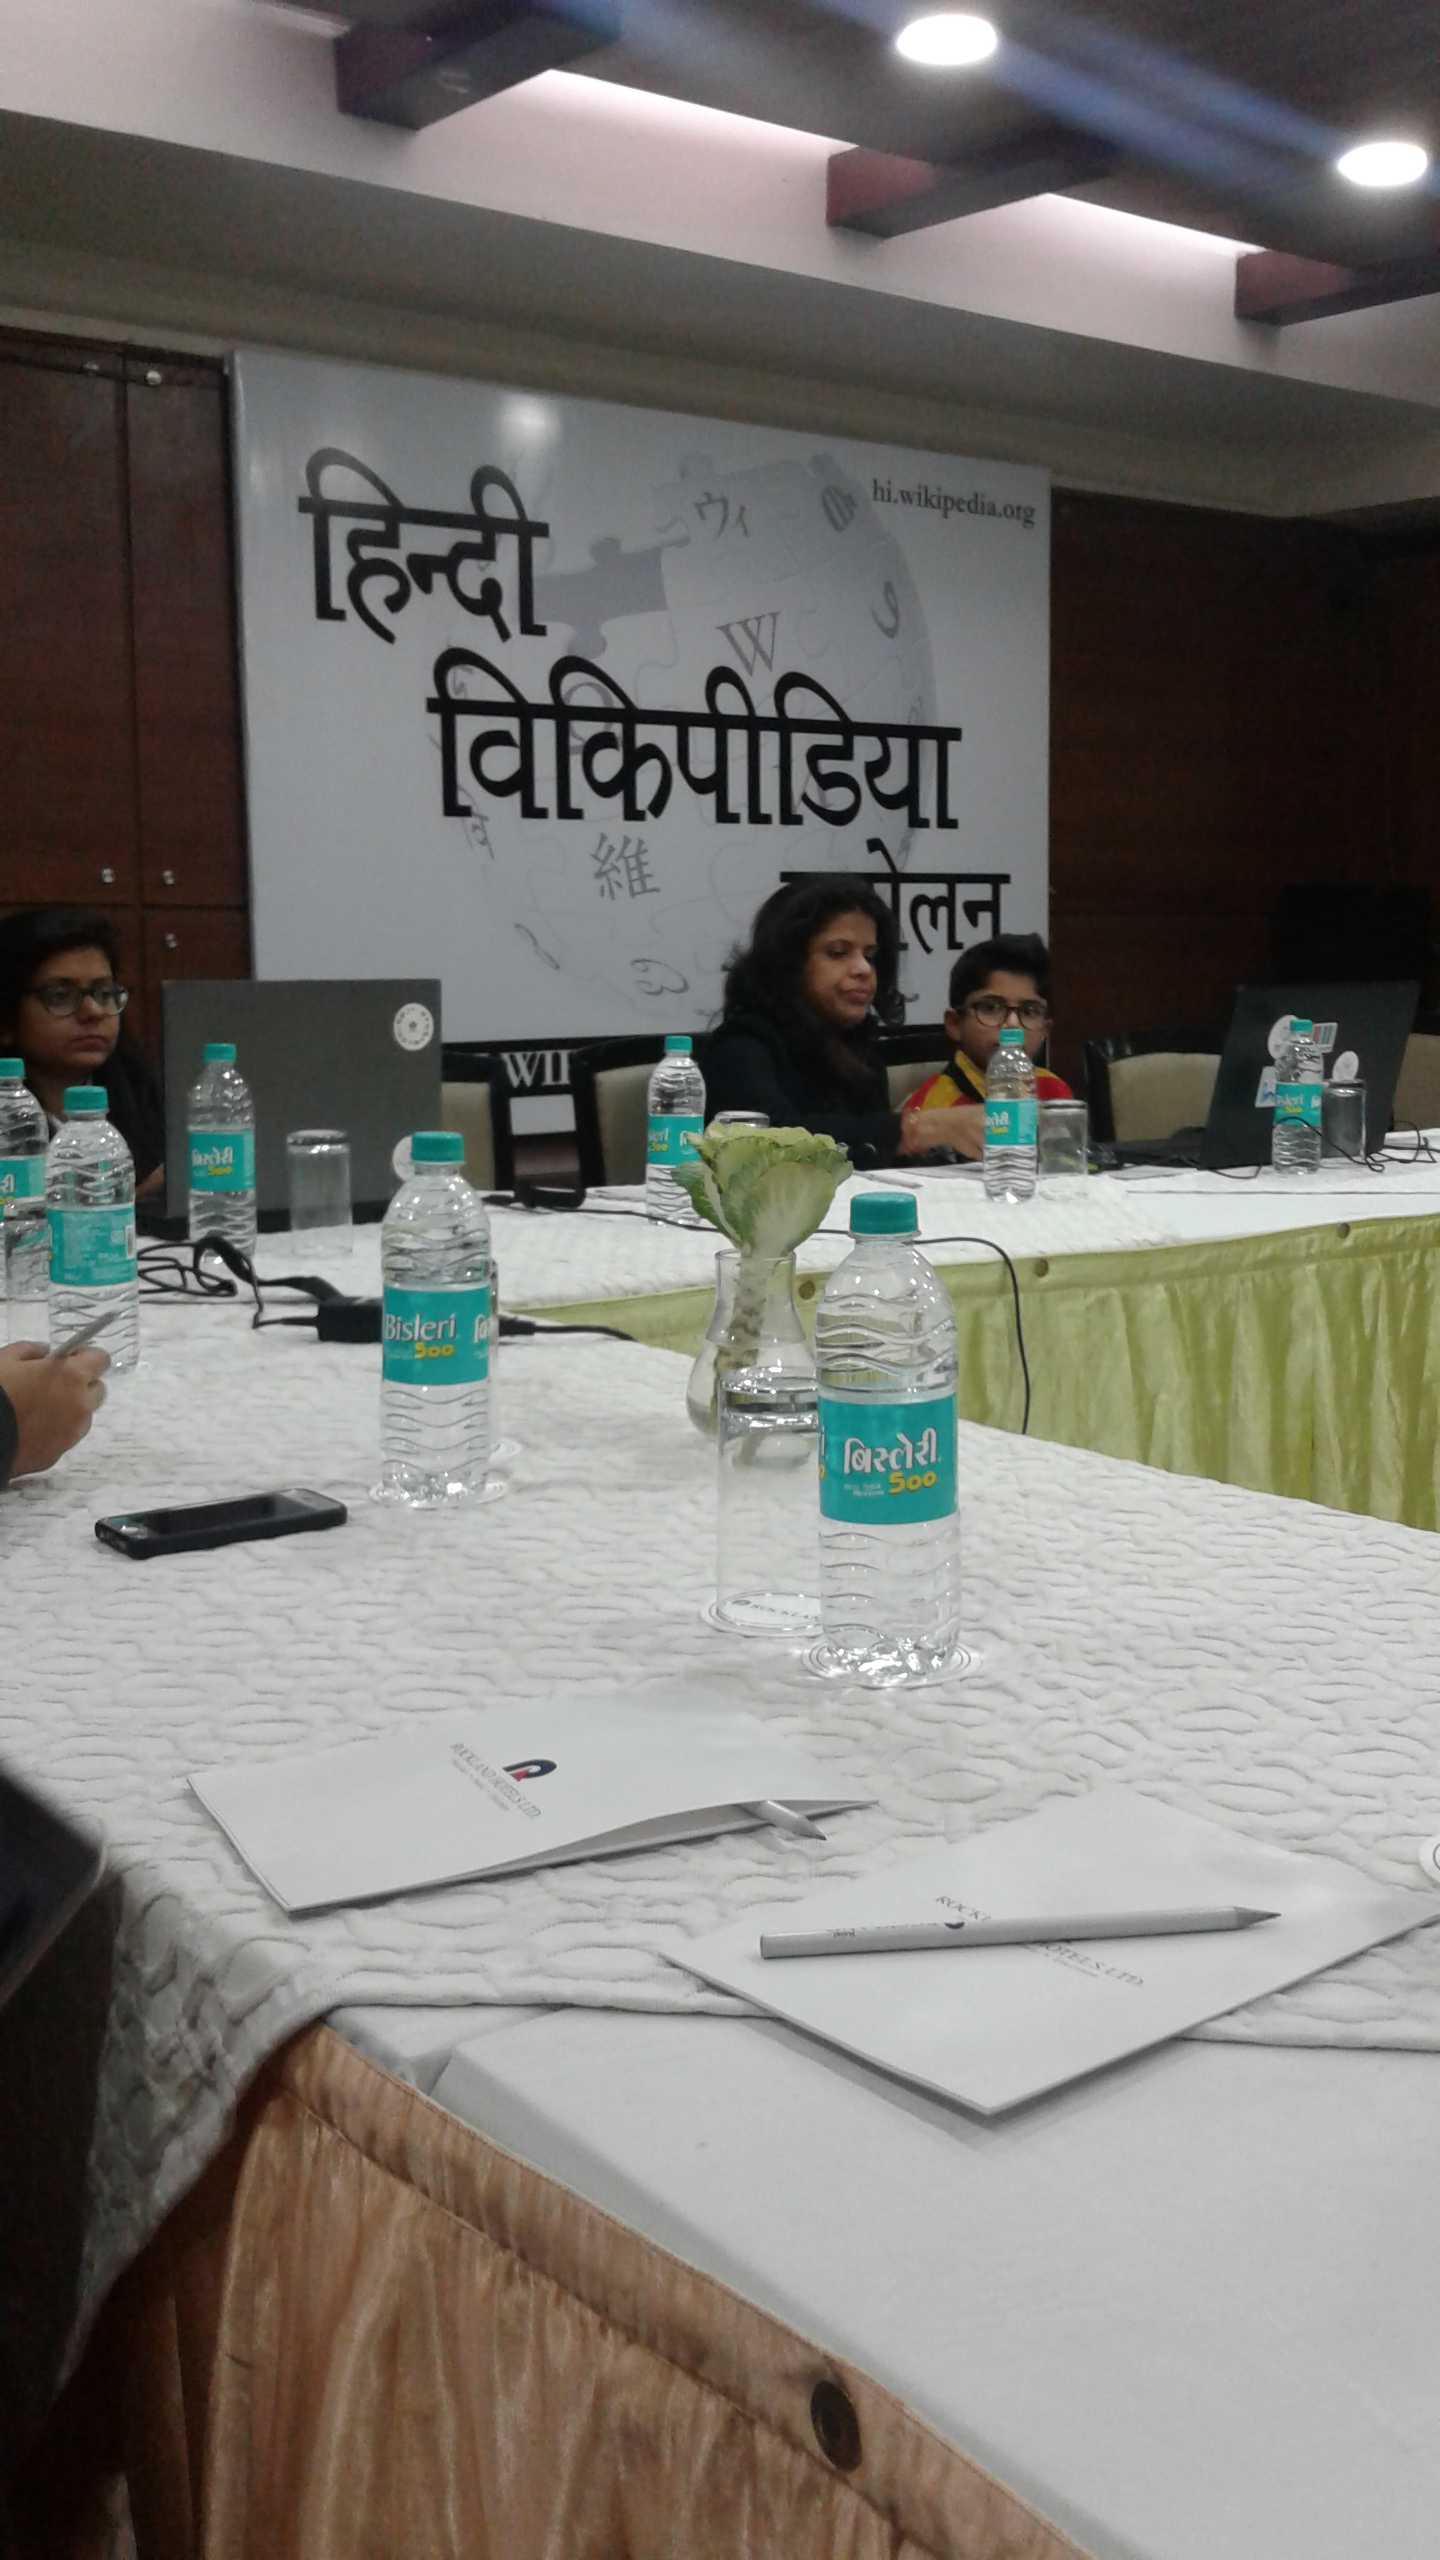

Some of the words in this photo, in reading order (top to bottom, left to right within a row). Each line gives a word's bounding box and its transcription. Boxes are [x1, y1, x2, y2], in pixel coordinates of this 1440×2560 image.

[869, 477, 897, 511] hi.
[895, 481, 1002, 524] wikipedia.
[999, 494, 1037, 533] org
[285, 439, 553, 649] हिन्दी
[425, 644, 967, 833] विकिपीडिया